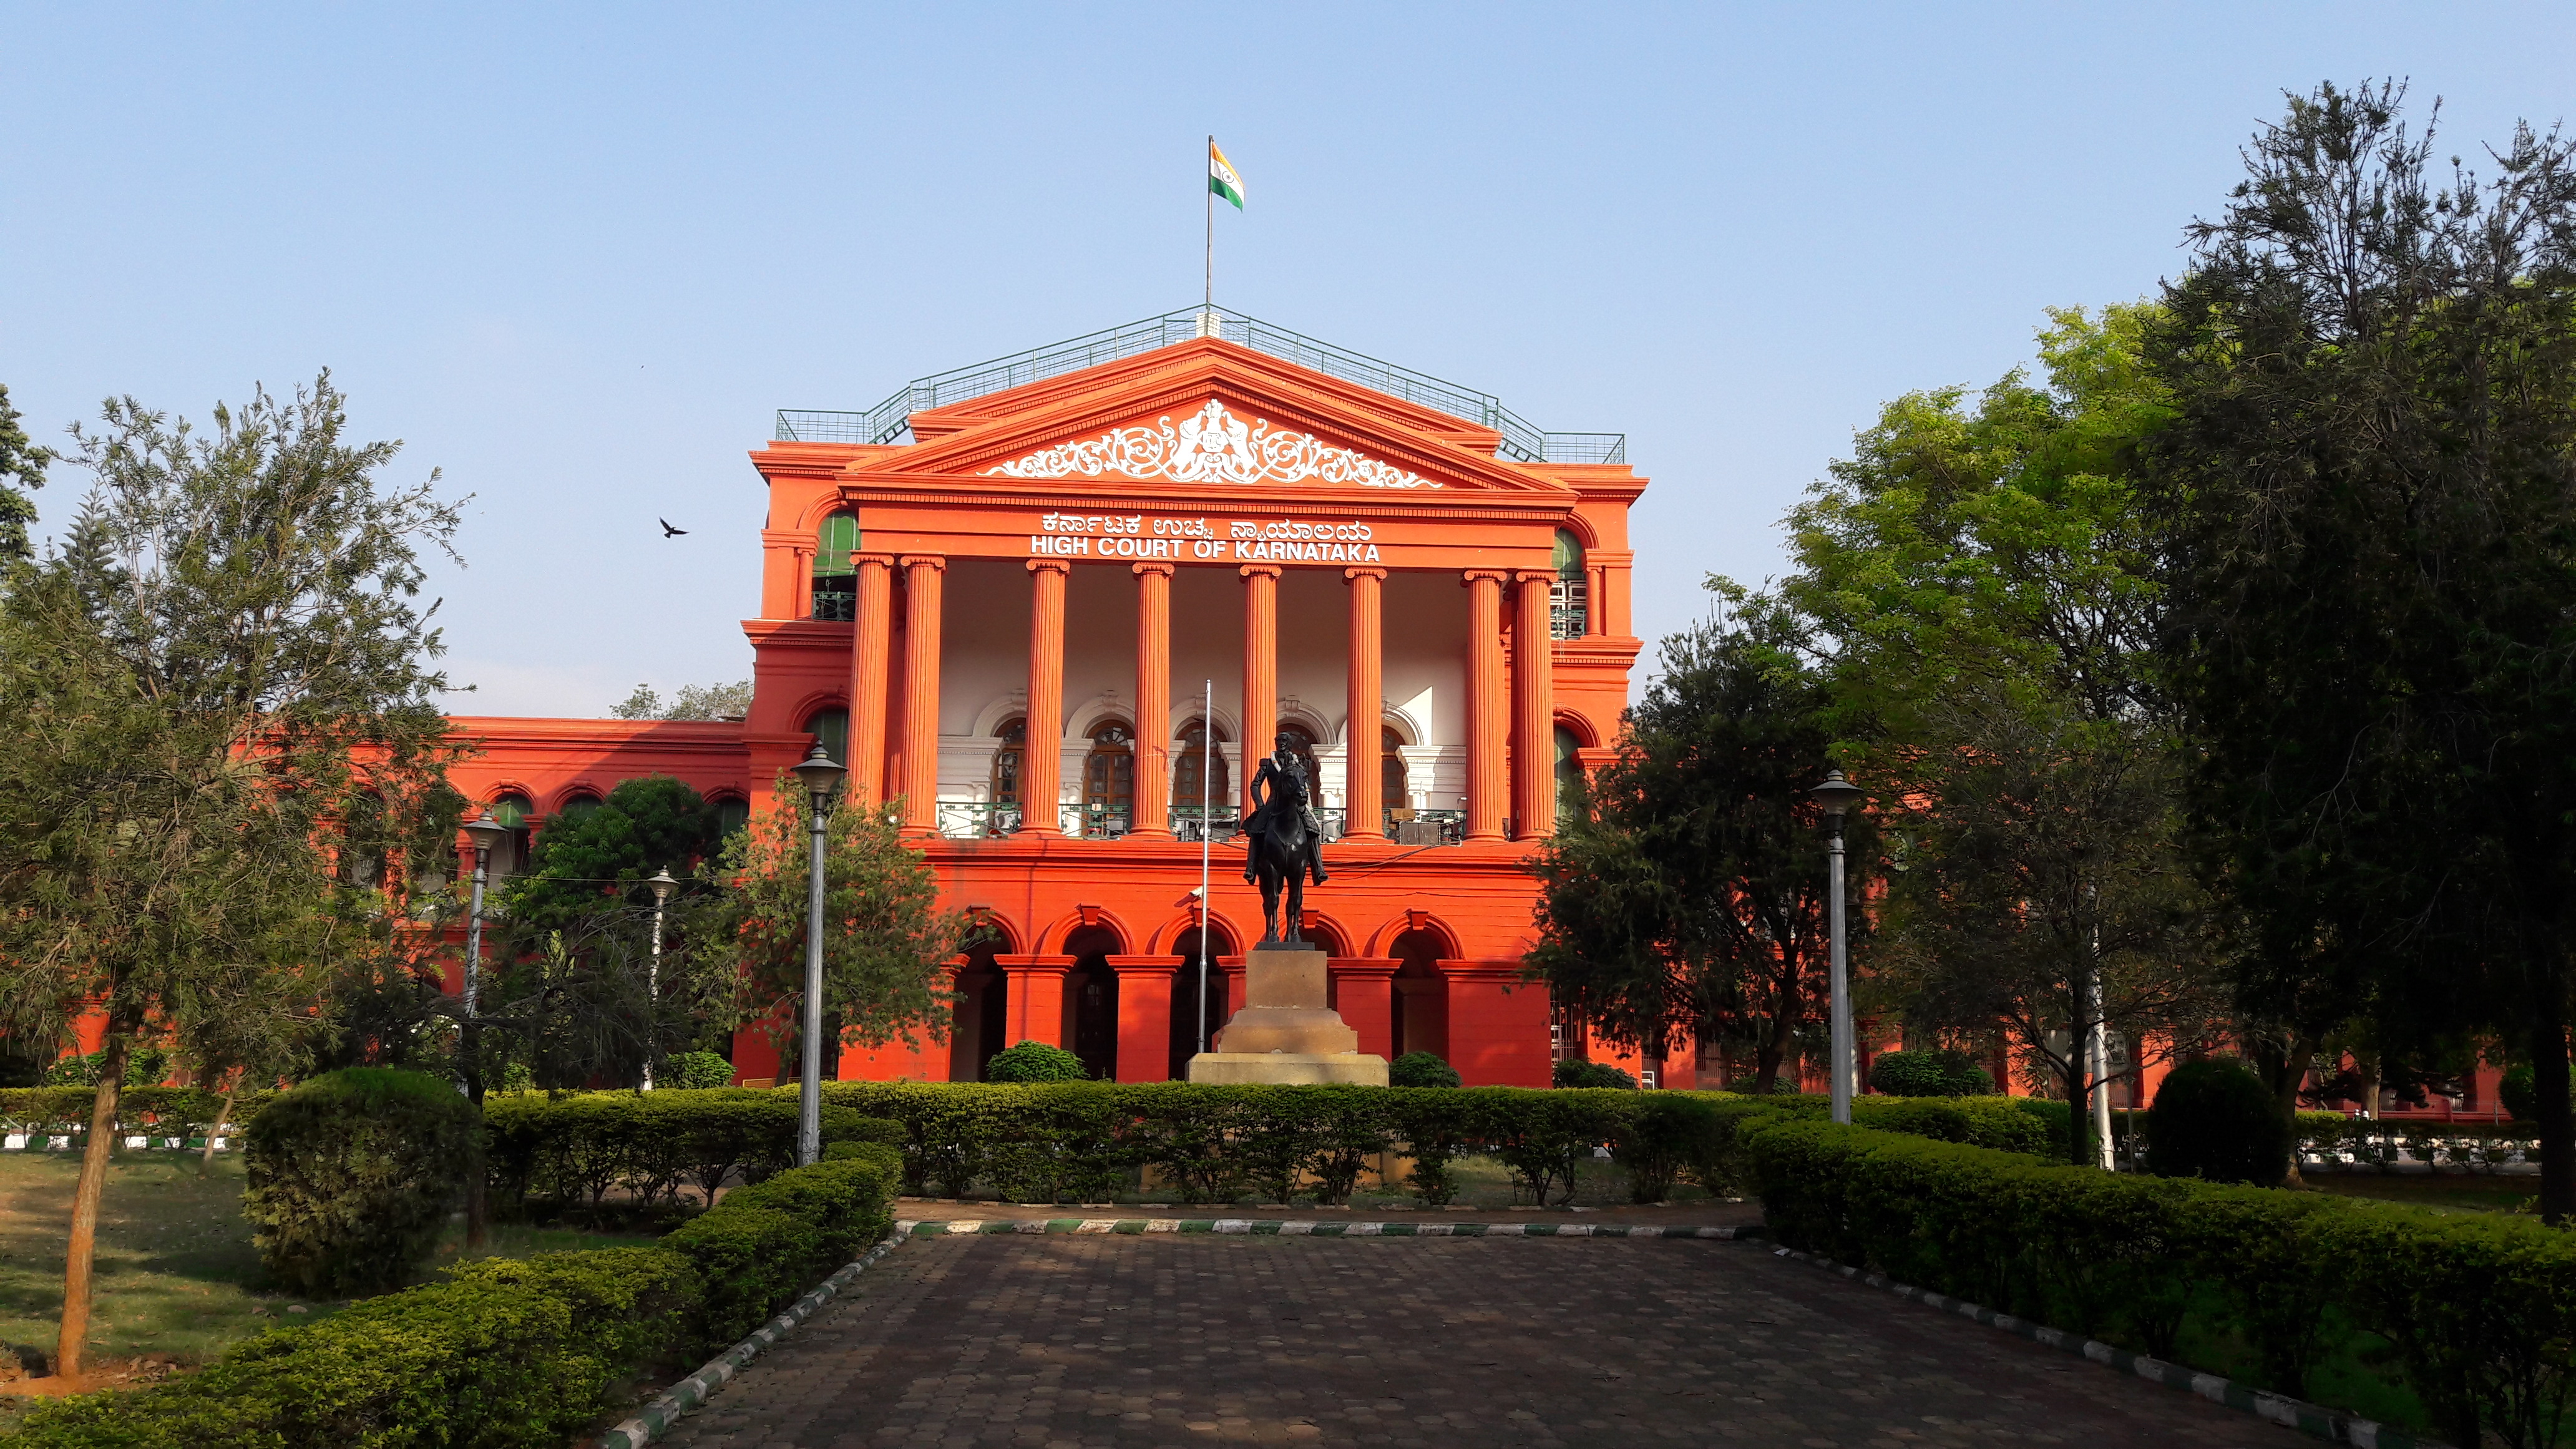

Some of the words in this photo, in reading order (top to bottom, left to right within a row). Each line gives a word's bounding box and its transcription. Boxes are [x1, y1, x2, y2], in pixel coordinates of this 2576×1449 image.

[1039, 507, 1143, 539] ಕರ್ನಾಟಕ
[1149, 513, 1216, 542] ಉಚ್ಚ
[1226, 515, 1377, 544] ನ್ಯಾಯಾಲಯ
[1029, 533, 1090, 559] HIGH
[1091, 534, 1188, 559] COURT
[1193, 537, 1229, 561] OF
[1232, 540, 1381, 565] KARNATAKA